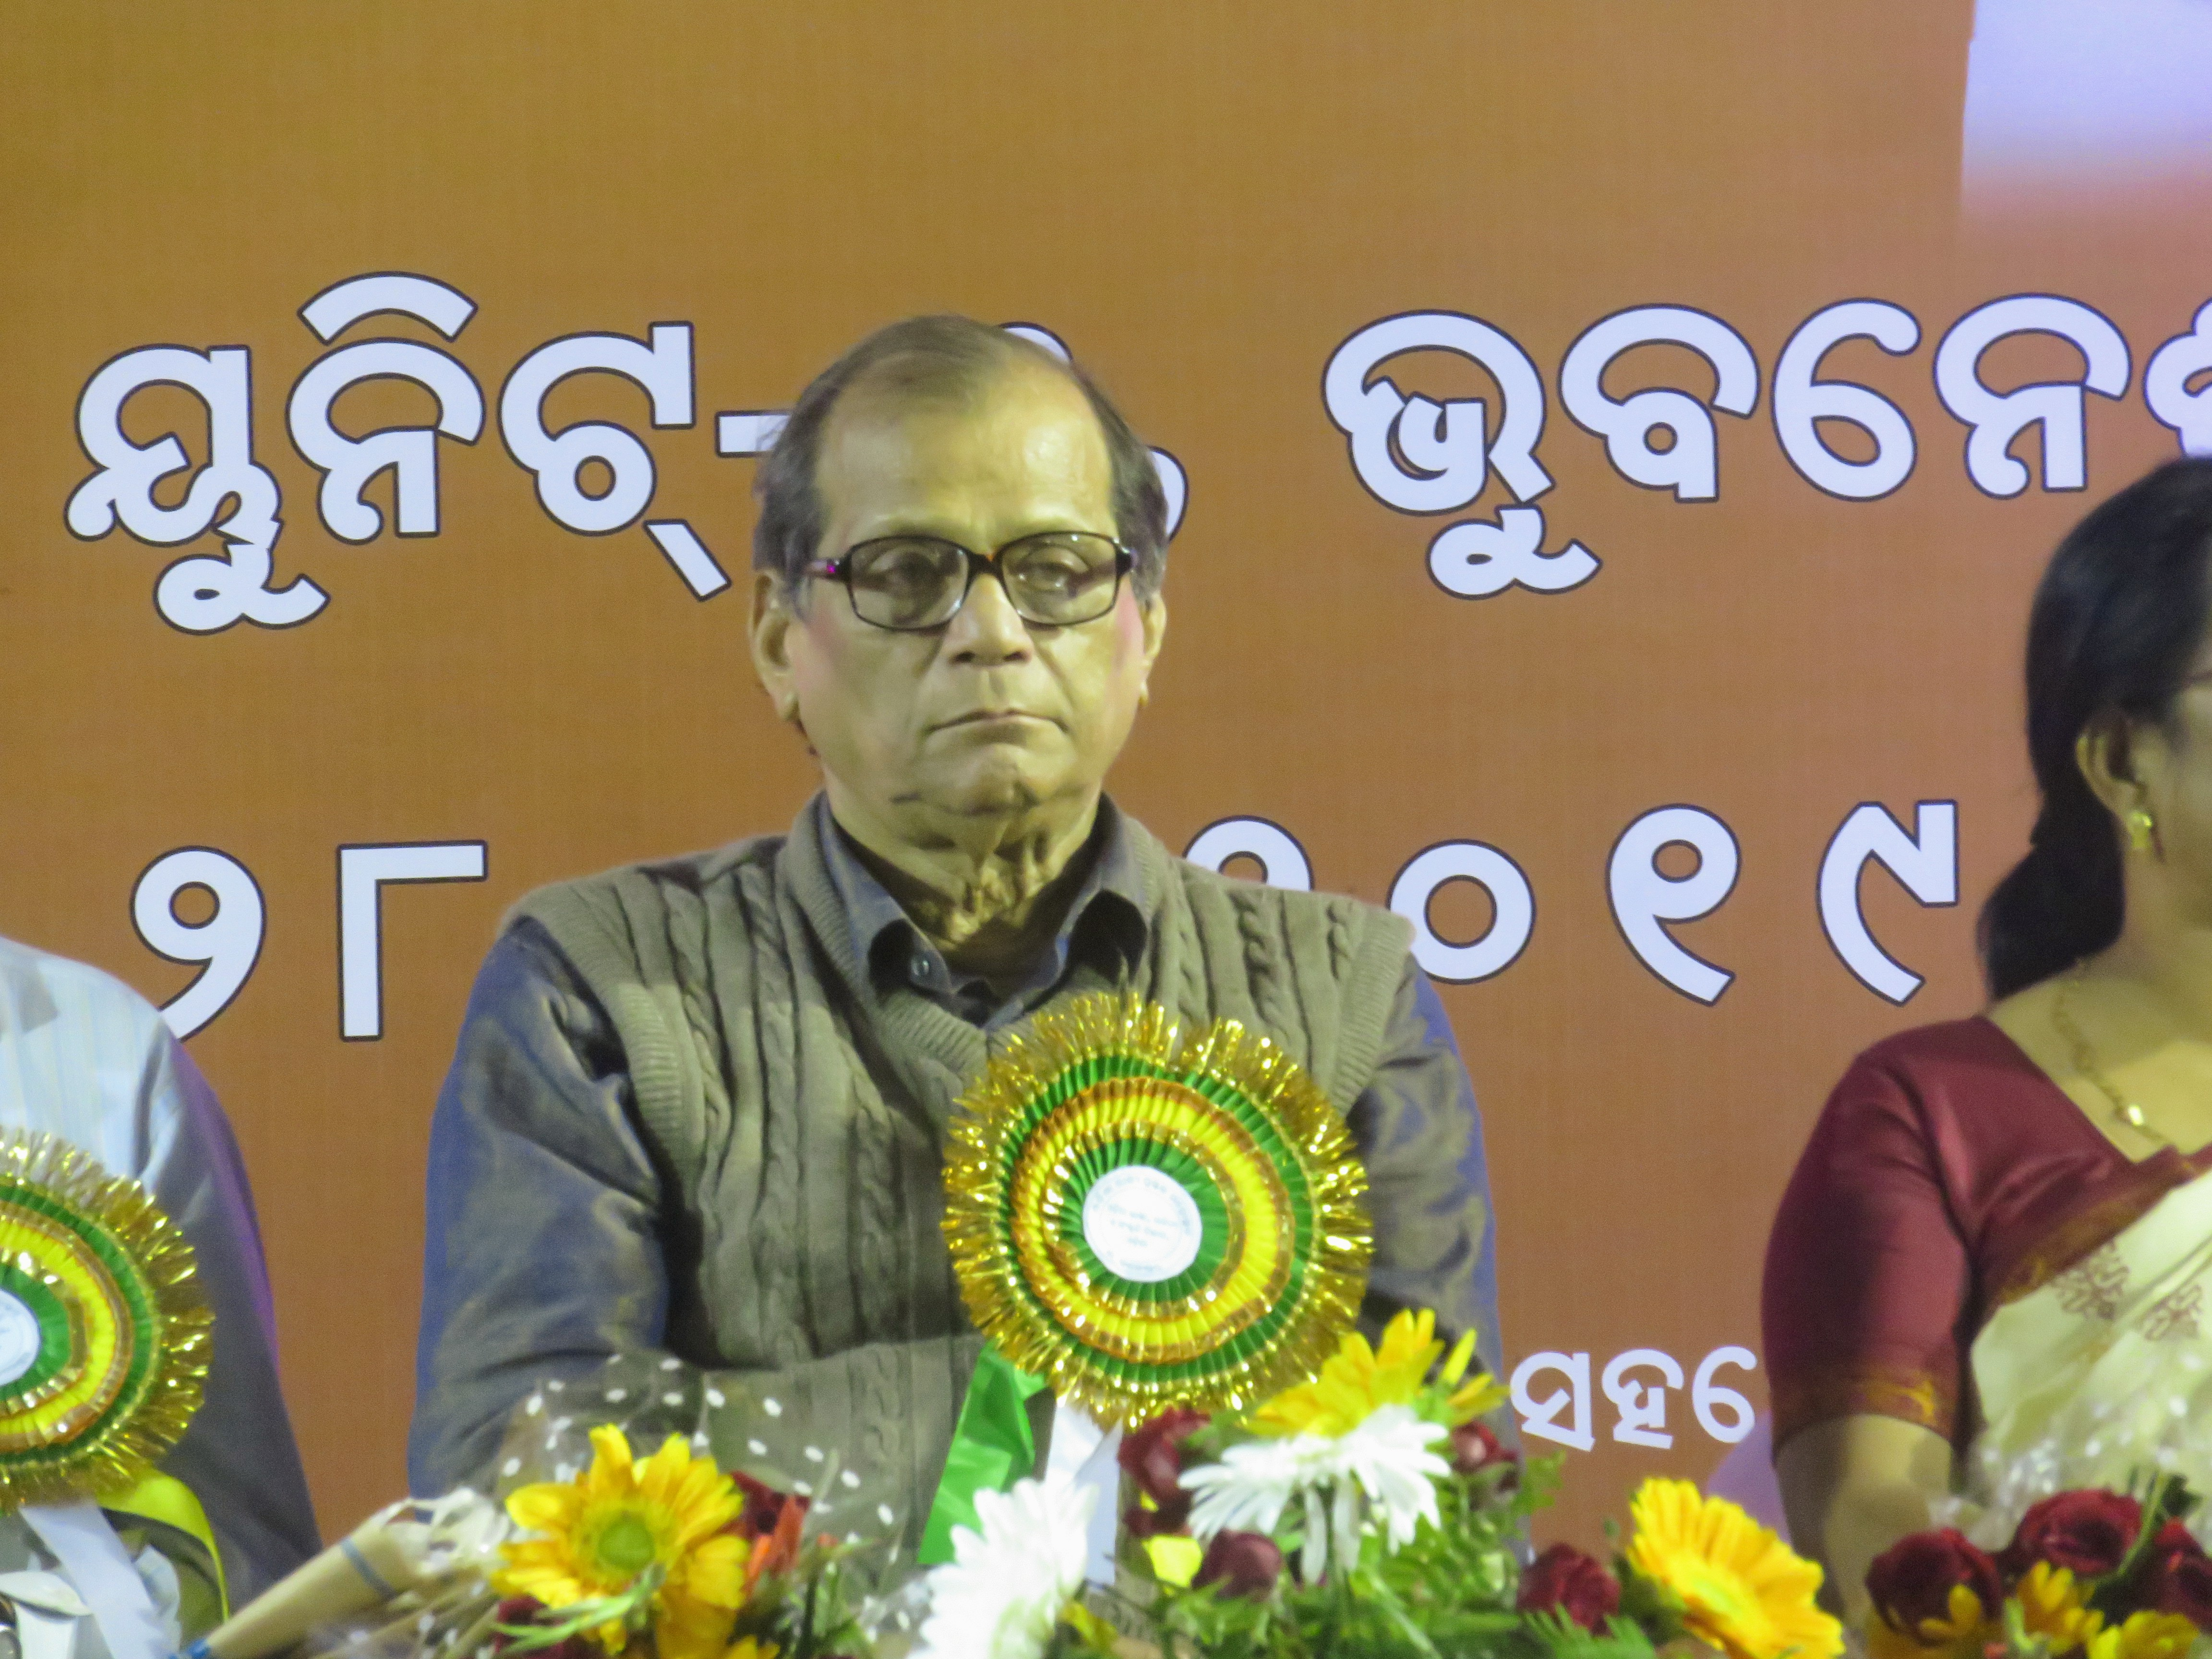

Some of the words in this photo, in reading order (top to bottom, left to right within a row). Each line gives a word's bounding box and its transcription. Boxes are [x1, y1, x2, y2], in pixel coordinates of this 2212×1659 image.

[56, 267, 733, 647] ୟୁନିଟ୍
[1302, 293, 2133, 613] ଭୁବନେ
[108, 833, 489, 1058] ୨୮
[1590, 793, 1961, 1015] ୧୯
[1503, 1339, 1757, 1454] ସହ